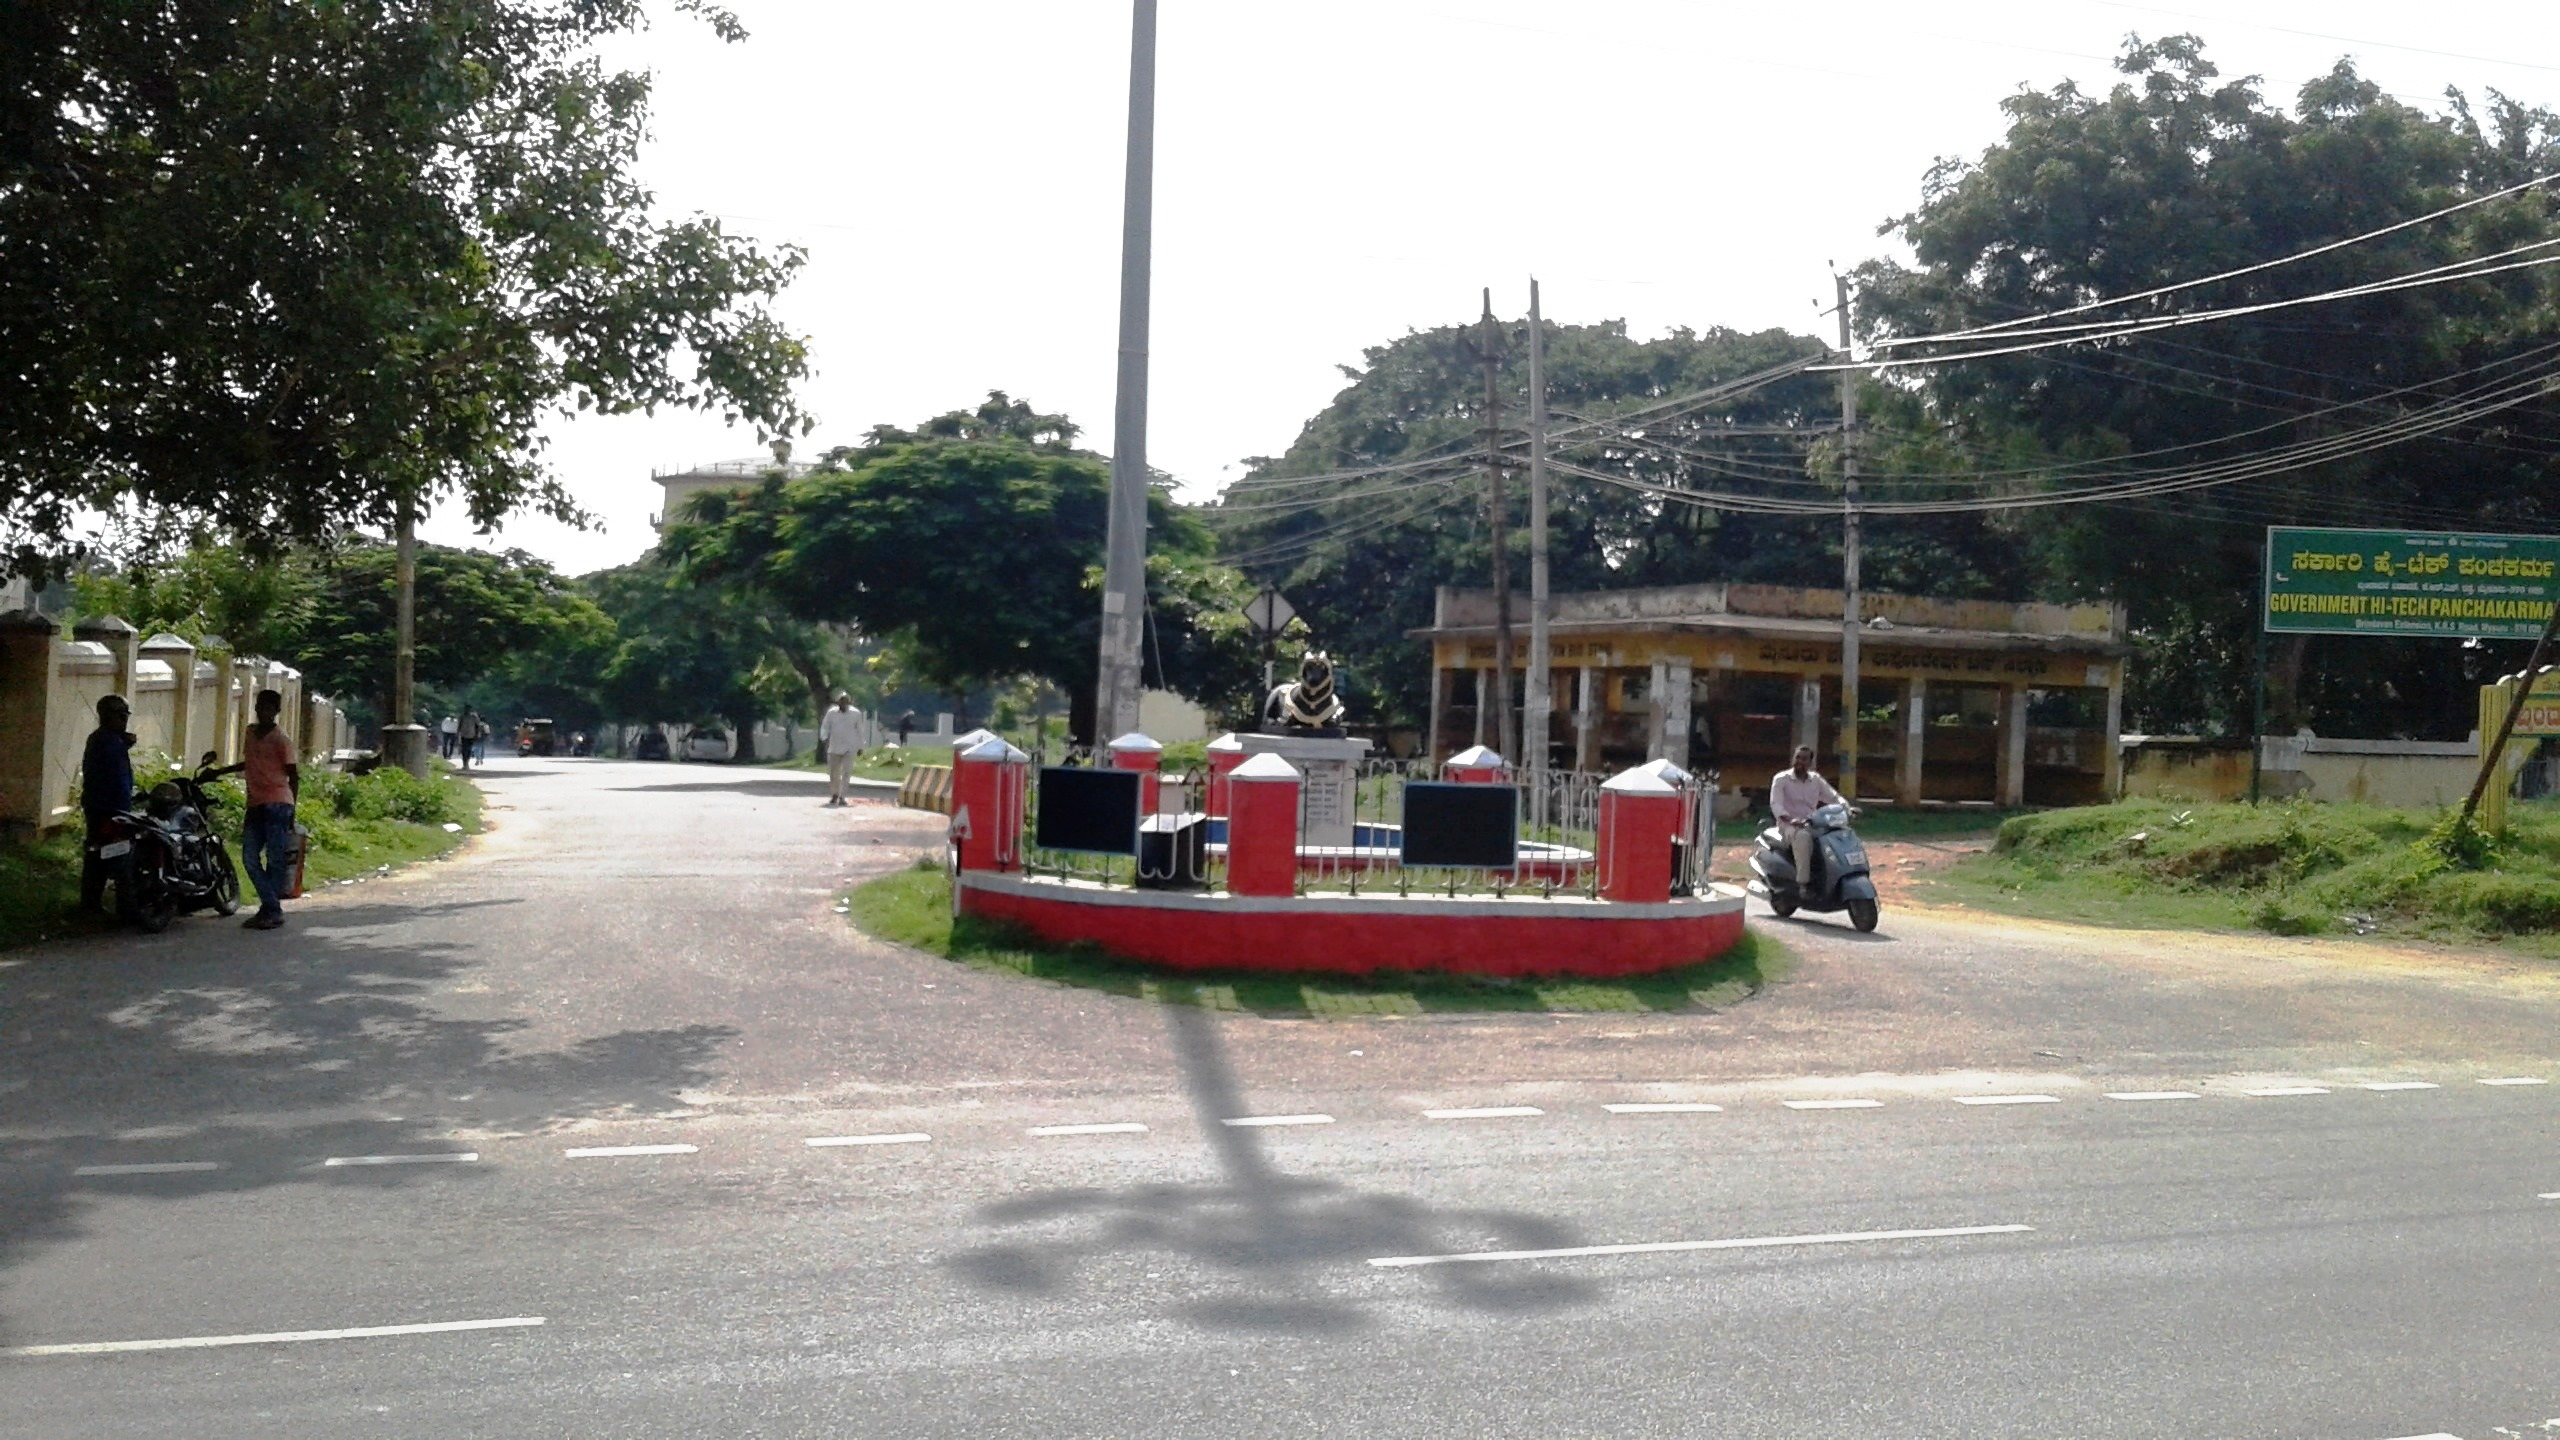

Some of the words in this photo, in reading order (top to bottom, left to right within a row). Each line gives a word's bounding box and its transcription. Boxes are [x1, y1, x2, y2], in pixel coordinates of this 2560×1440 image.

[2285, 543, 2367, 579] ಸರ್ಕರಿ
[2369, 543, 2455, 581] ಹೈ-ಟೆಕ್
[2455, 545, 2557, 583] ಪಂಚಕರ್ಮ
[2266, 588, 2373, 620] GOVERNMENT
[2369, 591, 2434, 618] HI-TECH
[2391, 613, 2435, 633] Extersion
[2430, 613, 2459, 635] KAS
[2429, 592, 2557, 622] PANCHAKARMA
[1749, 636, 1826, 670] ಮಸ್ಮರು